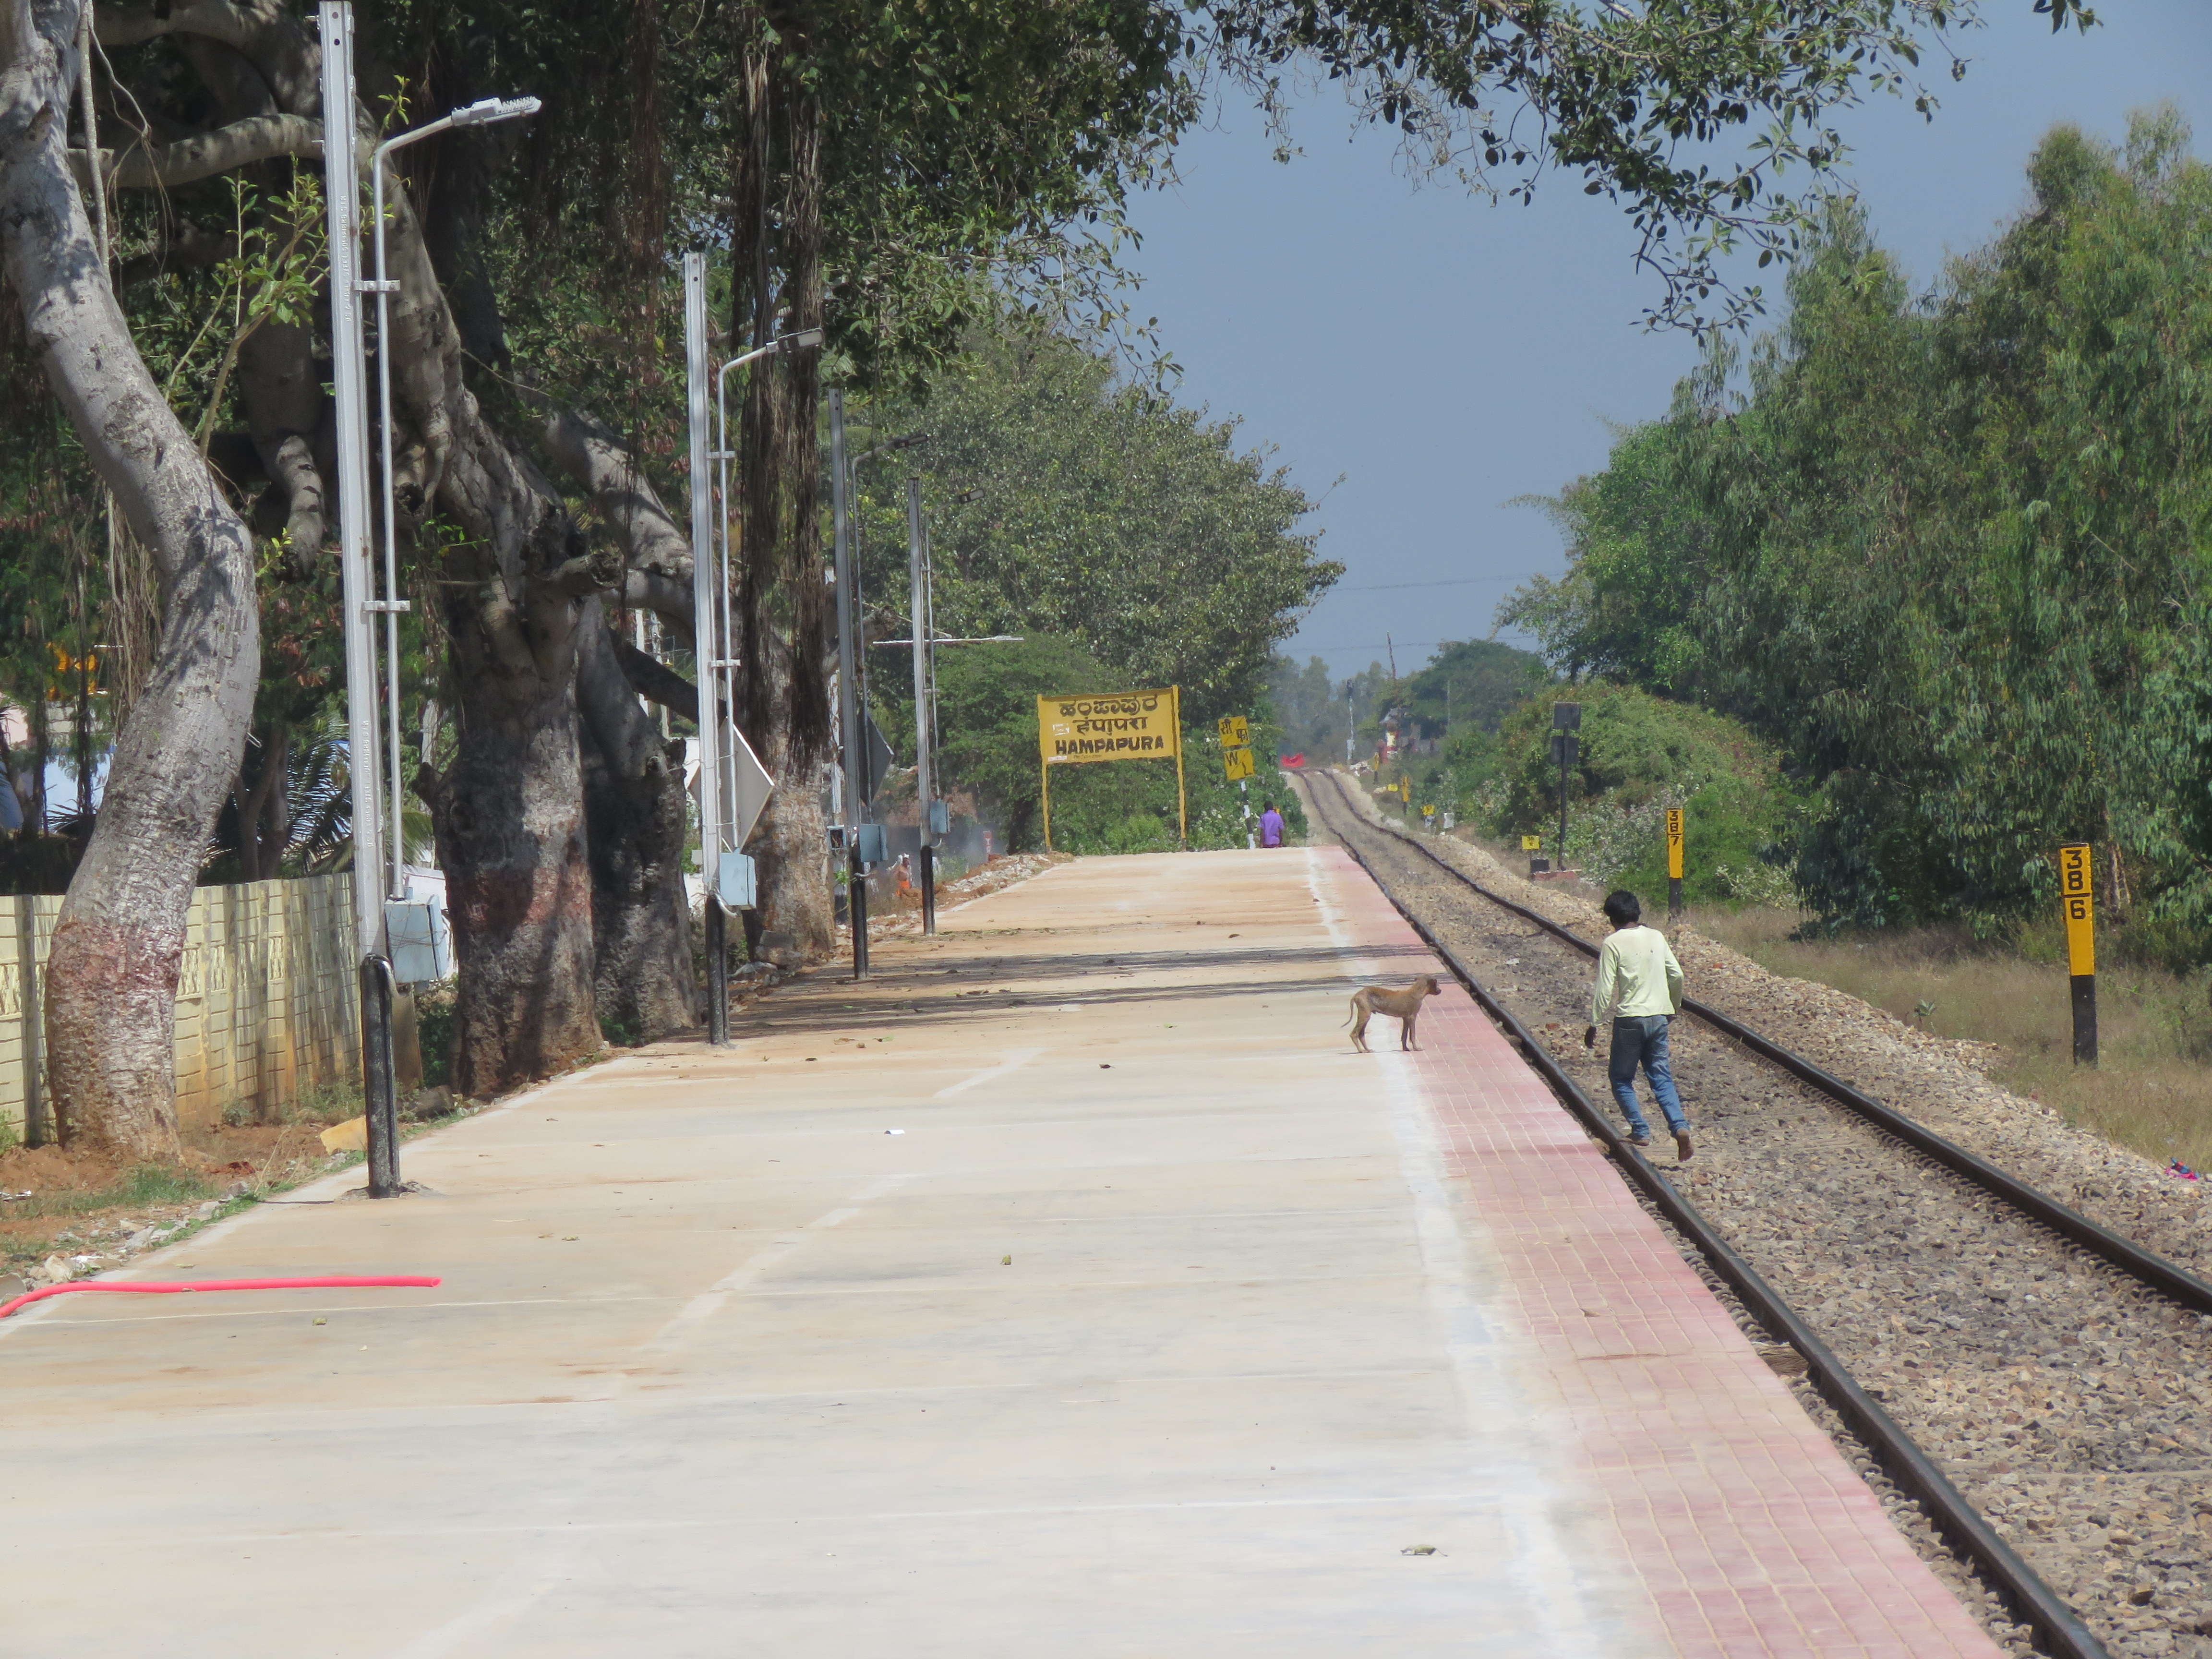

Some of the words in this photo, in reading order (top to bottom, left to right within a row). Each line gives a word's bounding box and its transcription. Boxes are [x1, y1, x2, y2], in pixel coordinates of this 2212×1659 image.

[1054, 692, 1159, 721] ಹಲಪಾಪುರ
[1069, 712, 1150, 738] हंपापरा
[1053, 733, 1166, 759] HAMPAPURA